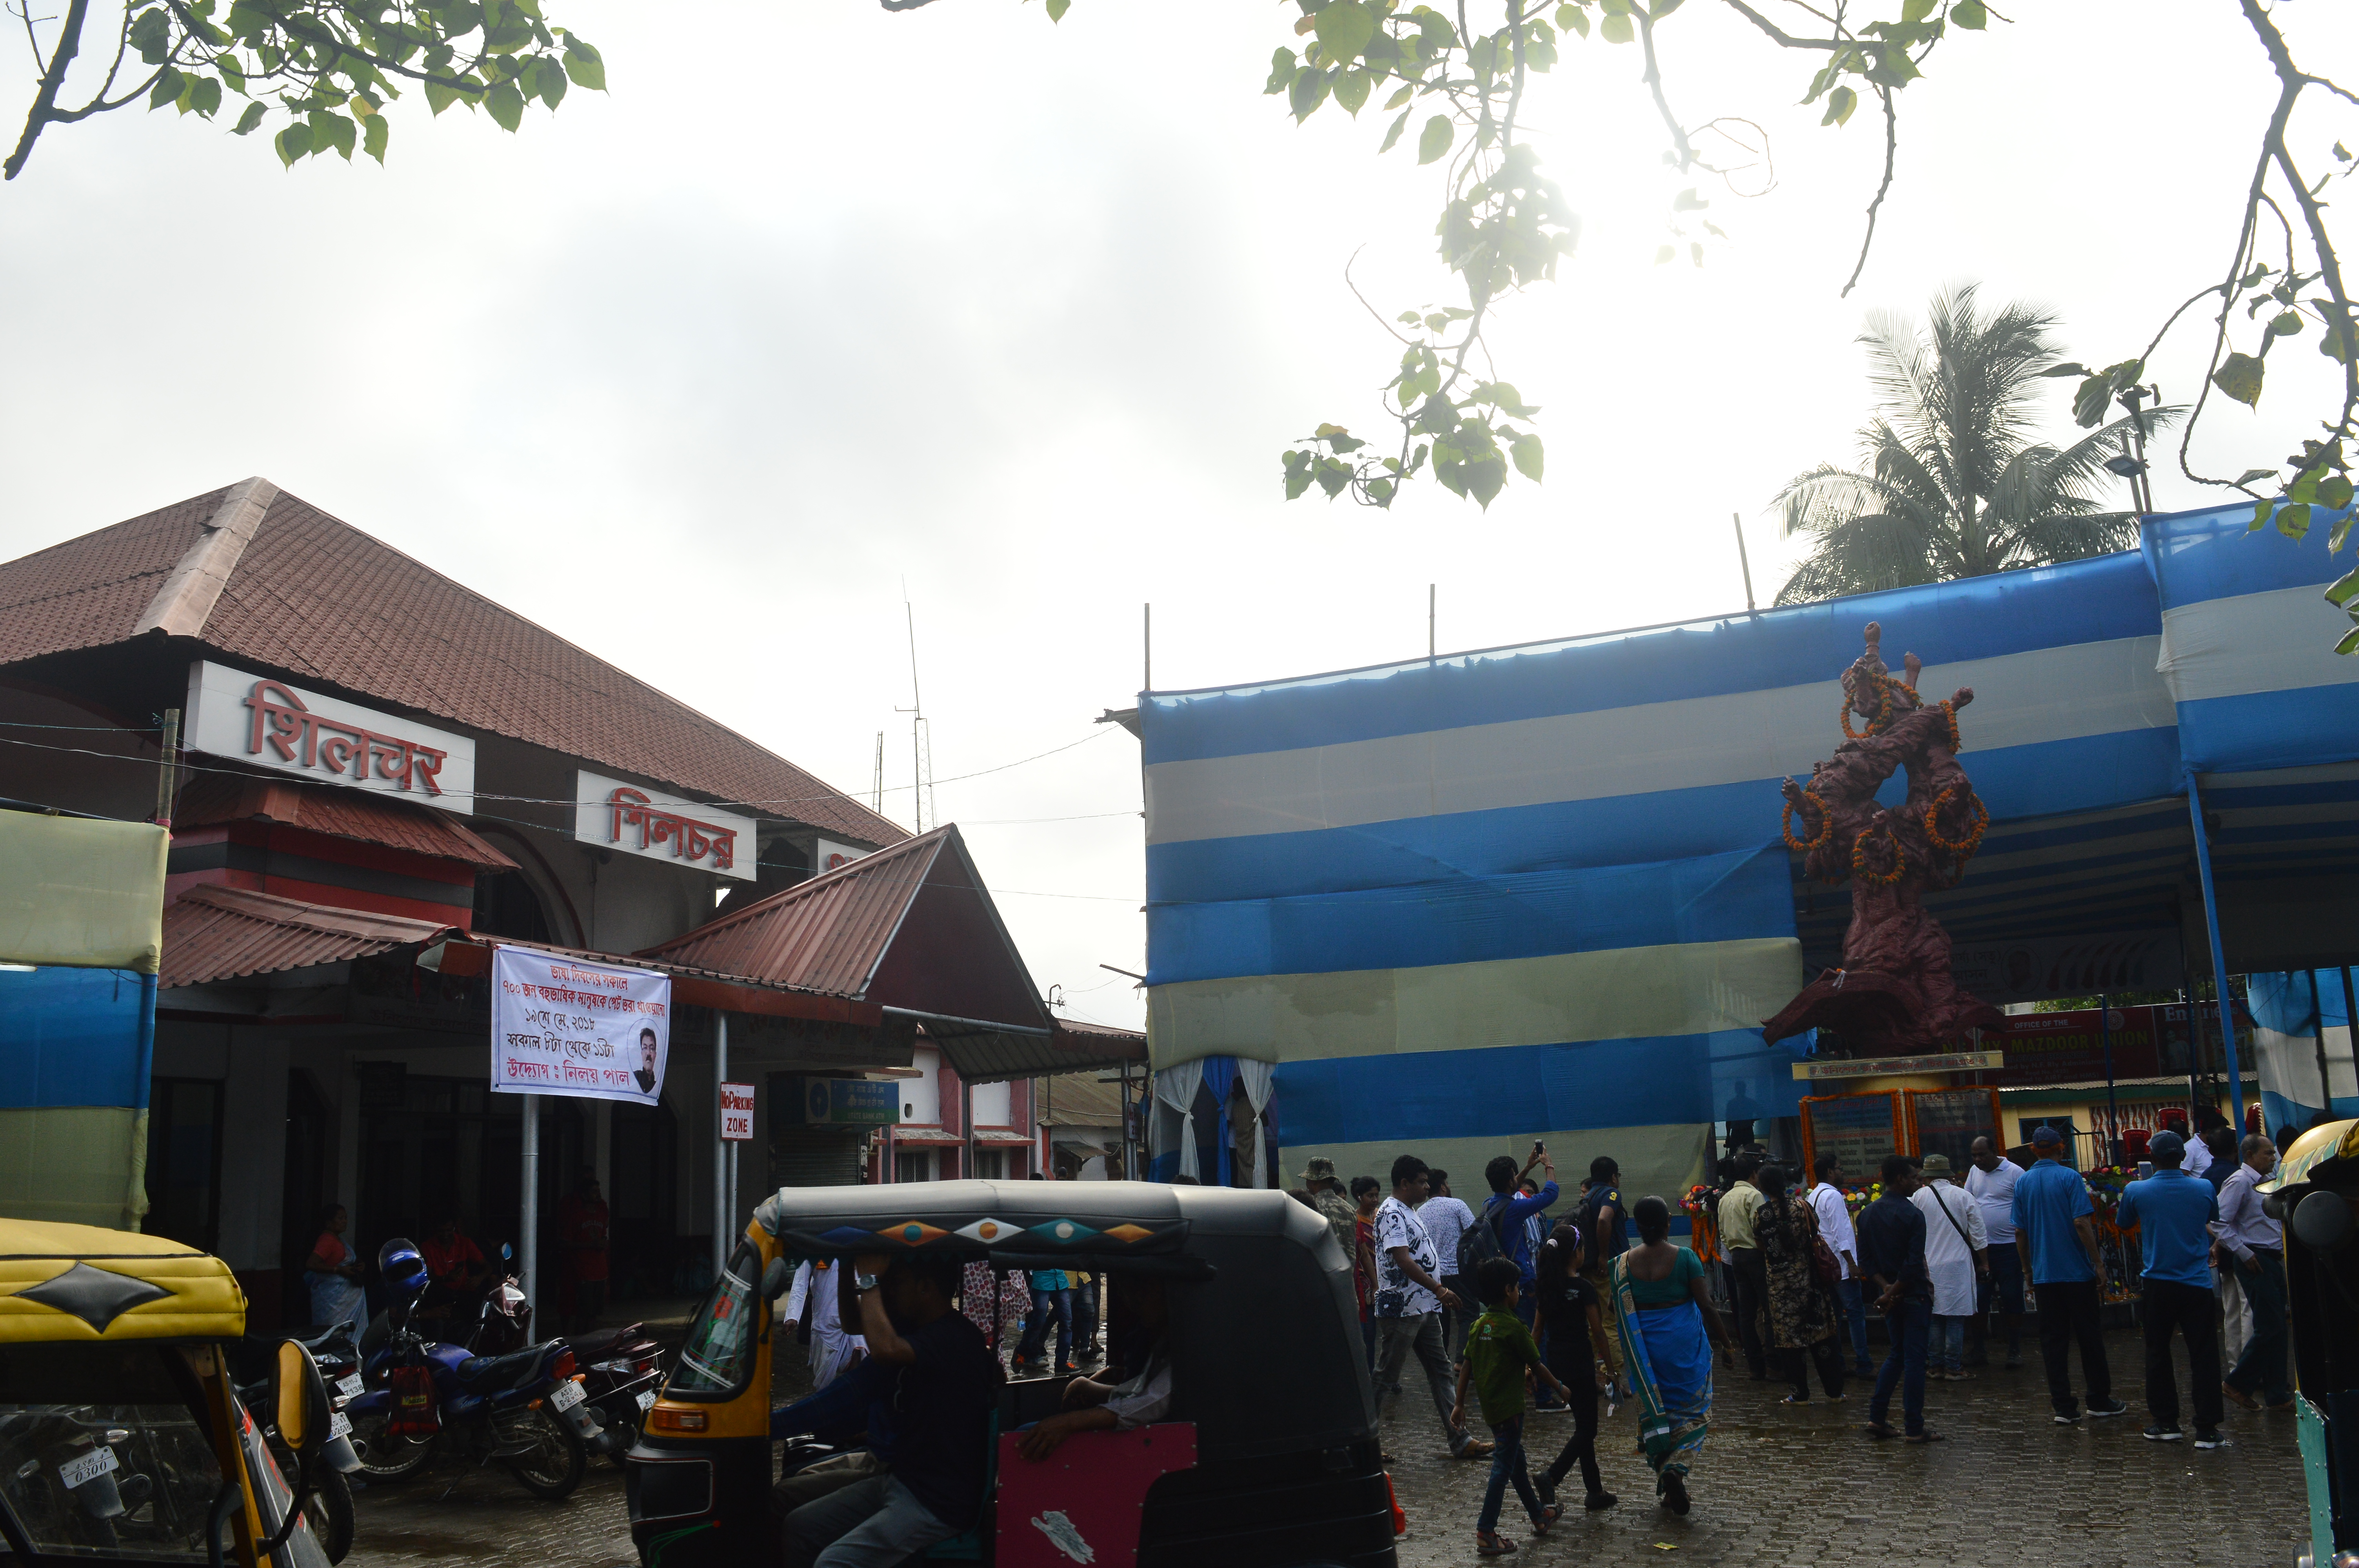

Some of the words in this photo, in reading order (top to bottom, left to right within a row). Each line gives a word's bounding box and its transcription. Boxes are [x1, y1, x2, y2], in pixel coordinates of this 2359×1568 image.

[238, 674, 452, 796] शिलचर
[601, 782, 739, 869] শিলচর
[500, 978, 523, 996] ৭০০
[520, 978, 538, 1000] জন
[523, 1003, 552, 1031] ১৯শে
[538, 981, 578, 1005] বহুভাষিক
[548, 964, 573, 983] ভাষা
[552, 1009, 569, 1035] মে,
[571, 1013, 598, 1033] ২০১৮
[566, 961, 604, 988] দিবসের
[575, 989, 608, 1011] মানুষকে
[600, 973, 630, 993] সকালে
[607, 992, 638, 1014] পেট ভরা
[633, 996, 667, 1018] খাওয়ানো
[2012, 1019, 2042, 1032] OFFICE
[2039, 1017, 2053, 1029] OF
[2052, 1016, 2070, 1029] THE
[538, 1029, 565, 1053] ৮টা
[562, 1036, 594, 1062] থেকে
[590, 1033, 616, 1061] ১১টা
[2010, 1031, 2092, 1056] MAZDOOR
[2092, 1026, 2150, 1051] UNION
[505, 1054, 551, 1081] উদ্যোগ
[559, 1055, 602, 1085] নিলয়
[602, 1065, 632, 1088] পাল
[1817, 1062, 1859, 1076] উনিশের
[1858, 1061, 1883, 1072] ভাষা
[1885, 1058, 1925, 1072] শহিদেৱা
[1923, 1054, 1945, 1070] চির
[1944, 1055, 1977, 1067] জাগ্রত
[719, 1087, 756, 1113] NOPARKING
[725, 1115, 751, 1136] ZONE
[844, 1106, 864, 1123] STATE
[863, 1082, 888, 1095] এ টি এম
[865, 1094, 887, 1109] ए टी एम
[871, 1109, 888, 1124] ATM
[1831, 1099, 1844, 1111] of
[1843, 1097, 1861, 1110] May
[1918, 1092, 1945, 1103] ১৯শে